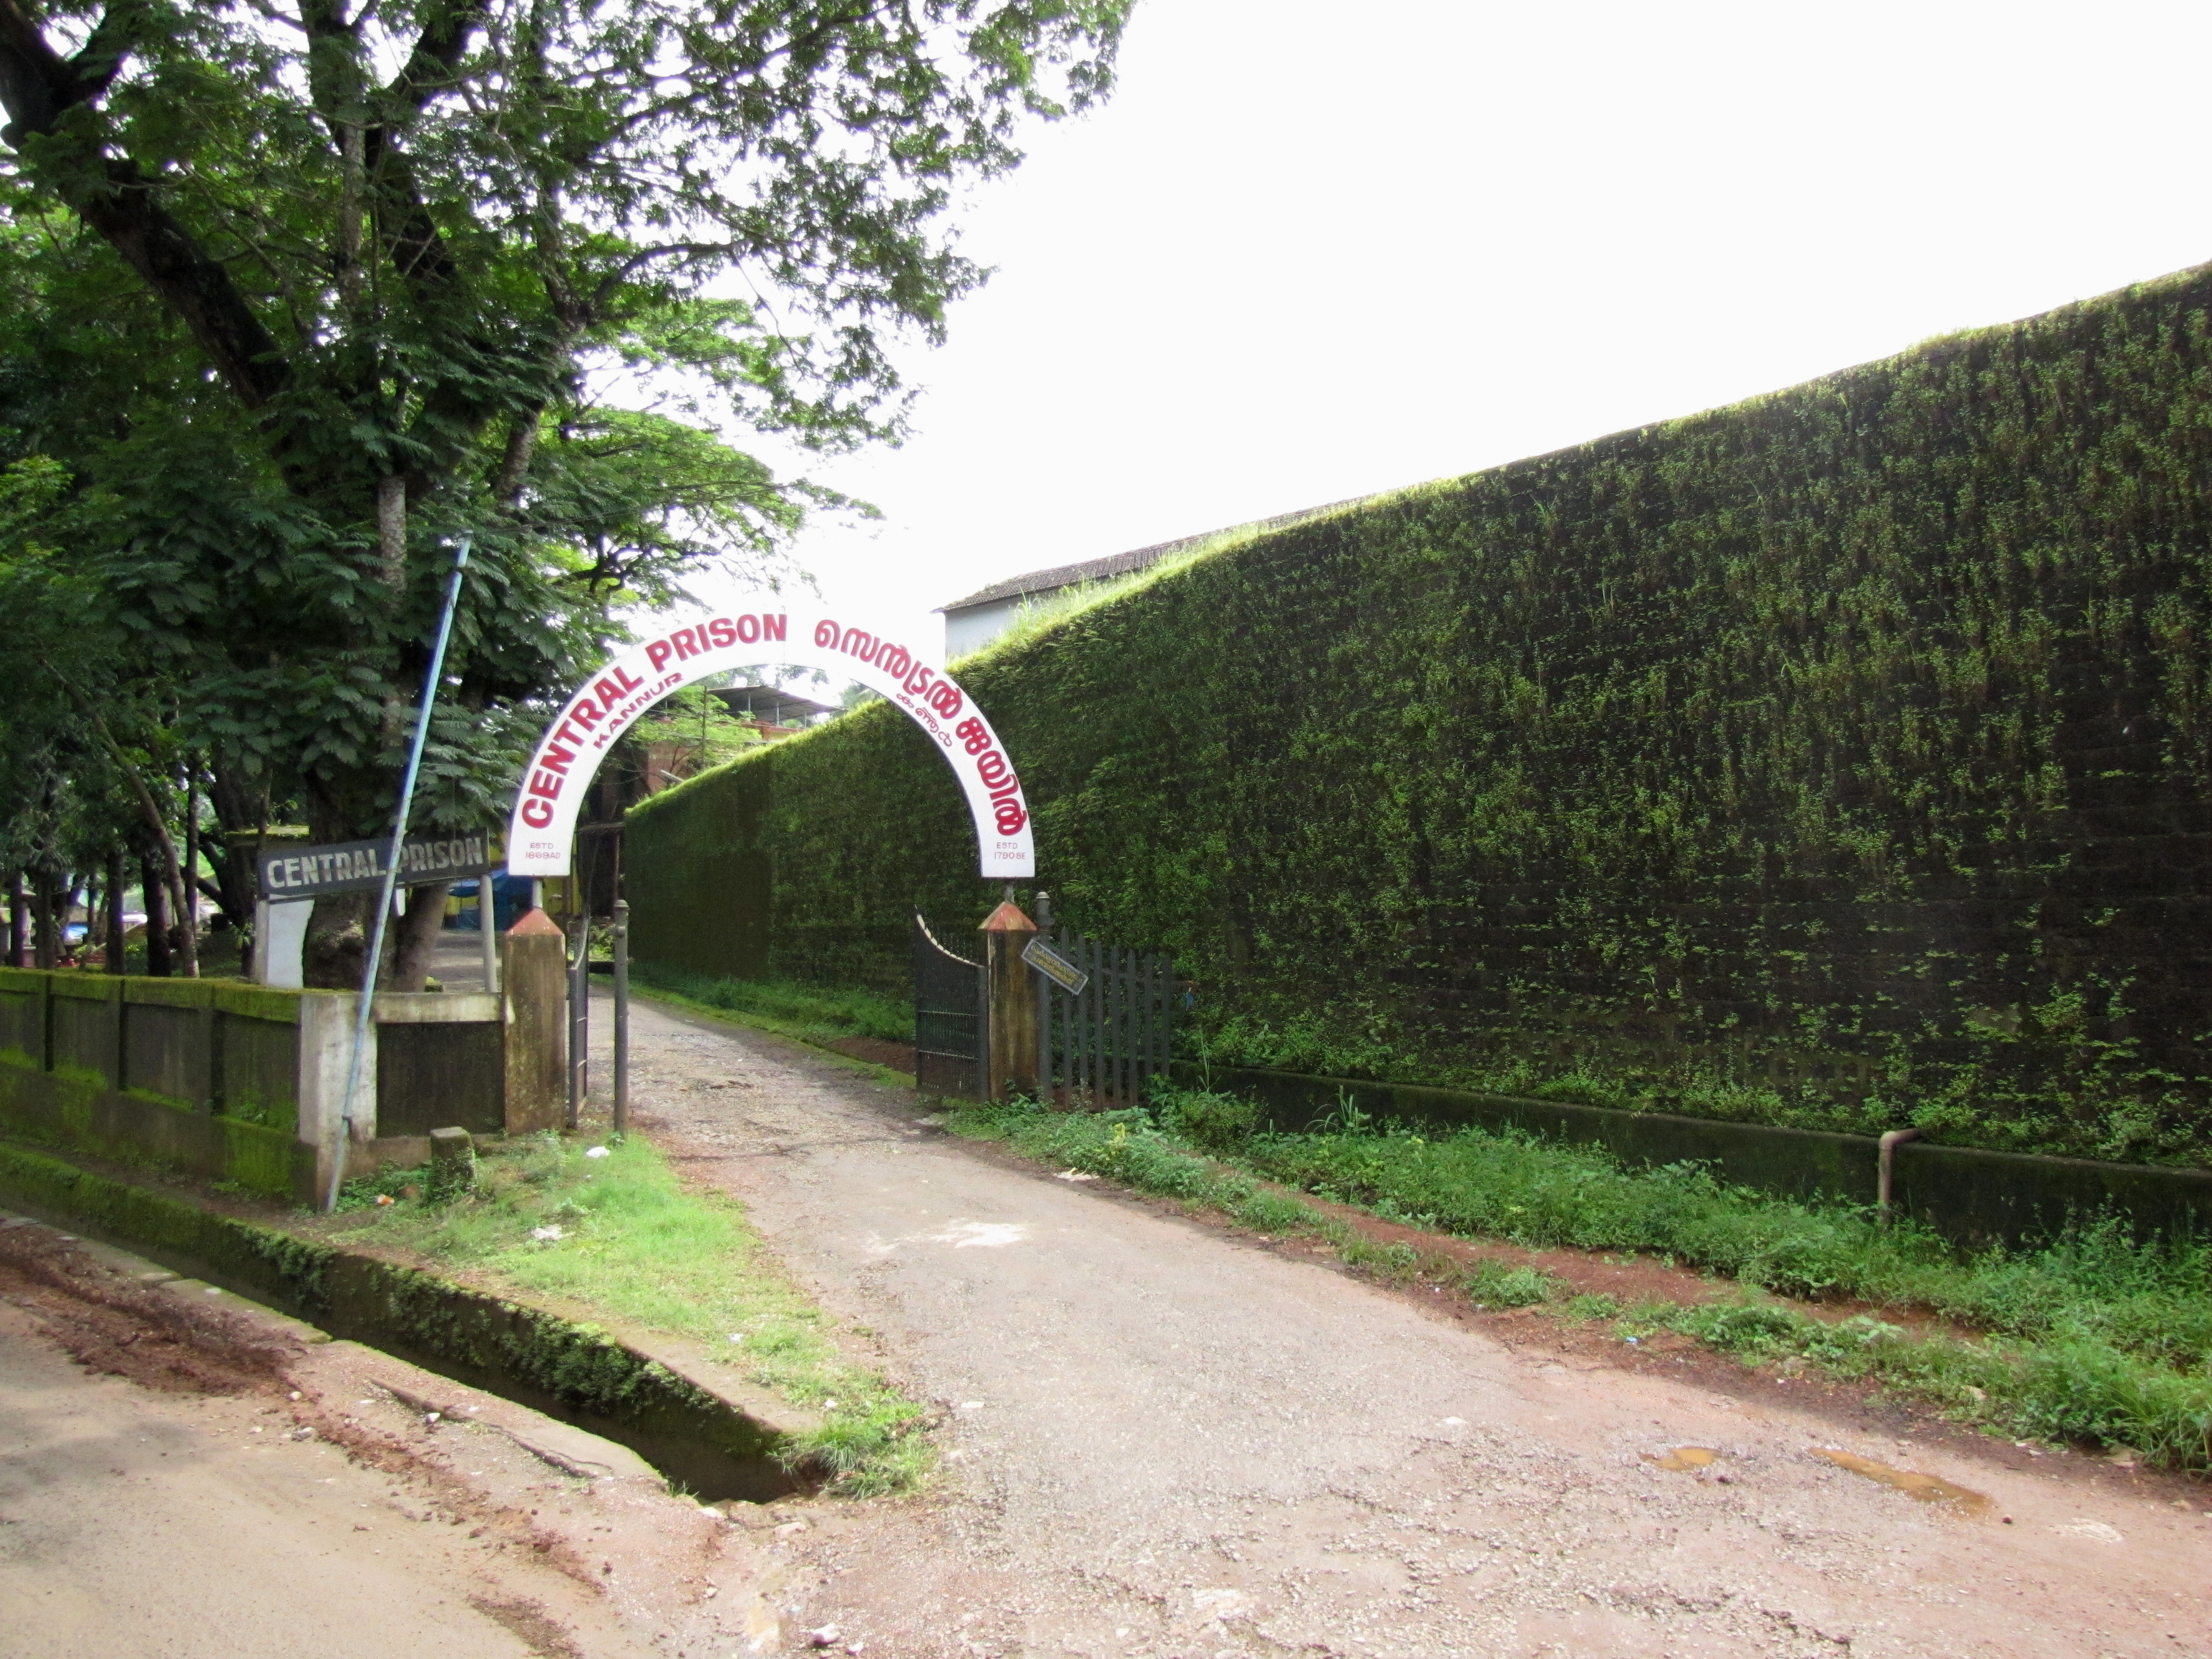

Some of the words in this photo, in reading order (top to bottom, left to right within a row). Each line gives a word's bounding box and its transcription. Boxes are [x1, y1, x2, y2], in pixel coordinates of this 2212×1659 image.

[643, 611, 789, 676] PRISON
[812, 614, 967, 723] സെൻട്രൽ
[513, 663, 649, 835] CENTRAL
[589, 668, 687, 753] KANNUR
[895, 691, 954, 749] കണൂർ
[951, 711, 1029, 837] ജയിൽ
[264, 844, 390, 891] CENTRAL
[383, 832, 488, 873] PRISON
[526, 839, 555, 852] ESTD
[524, 849, 563, 862] 1869AD
[994, 838, 1020, 852] ESTD
[991, 848, 1028, 864] 17908E